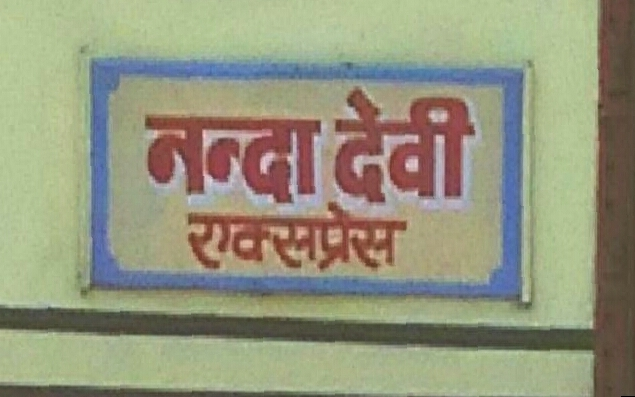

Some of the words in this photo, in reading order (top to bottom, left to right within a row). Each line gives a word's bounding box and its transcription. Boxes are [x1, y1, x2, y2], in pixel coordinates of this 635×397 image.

[143, 113, 324, 208] नन्दा
[332, 82, 480, 208] देवी
[185, 198, 411, 277] एक्सप्रेस